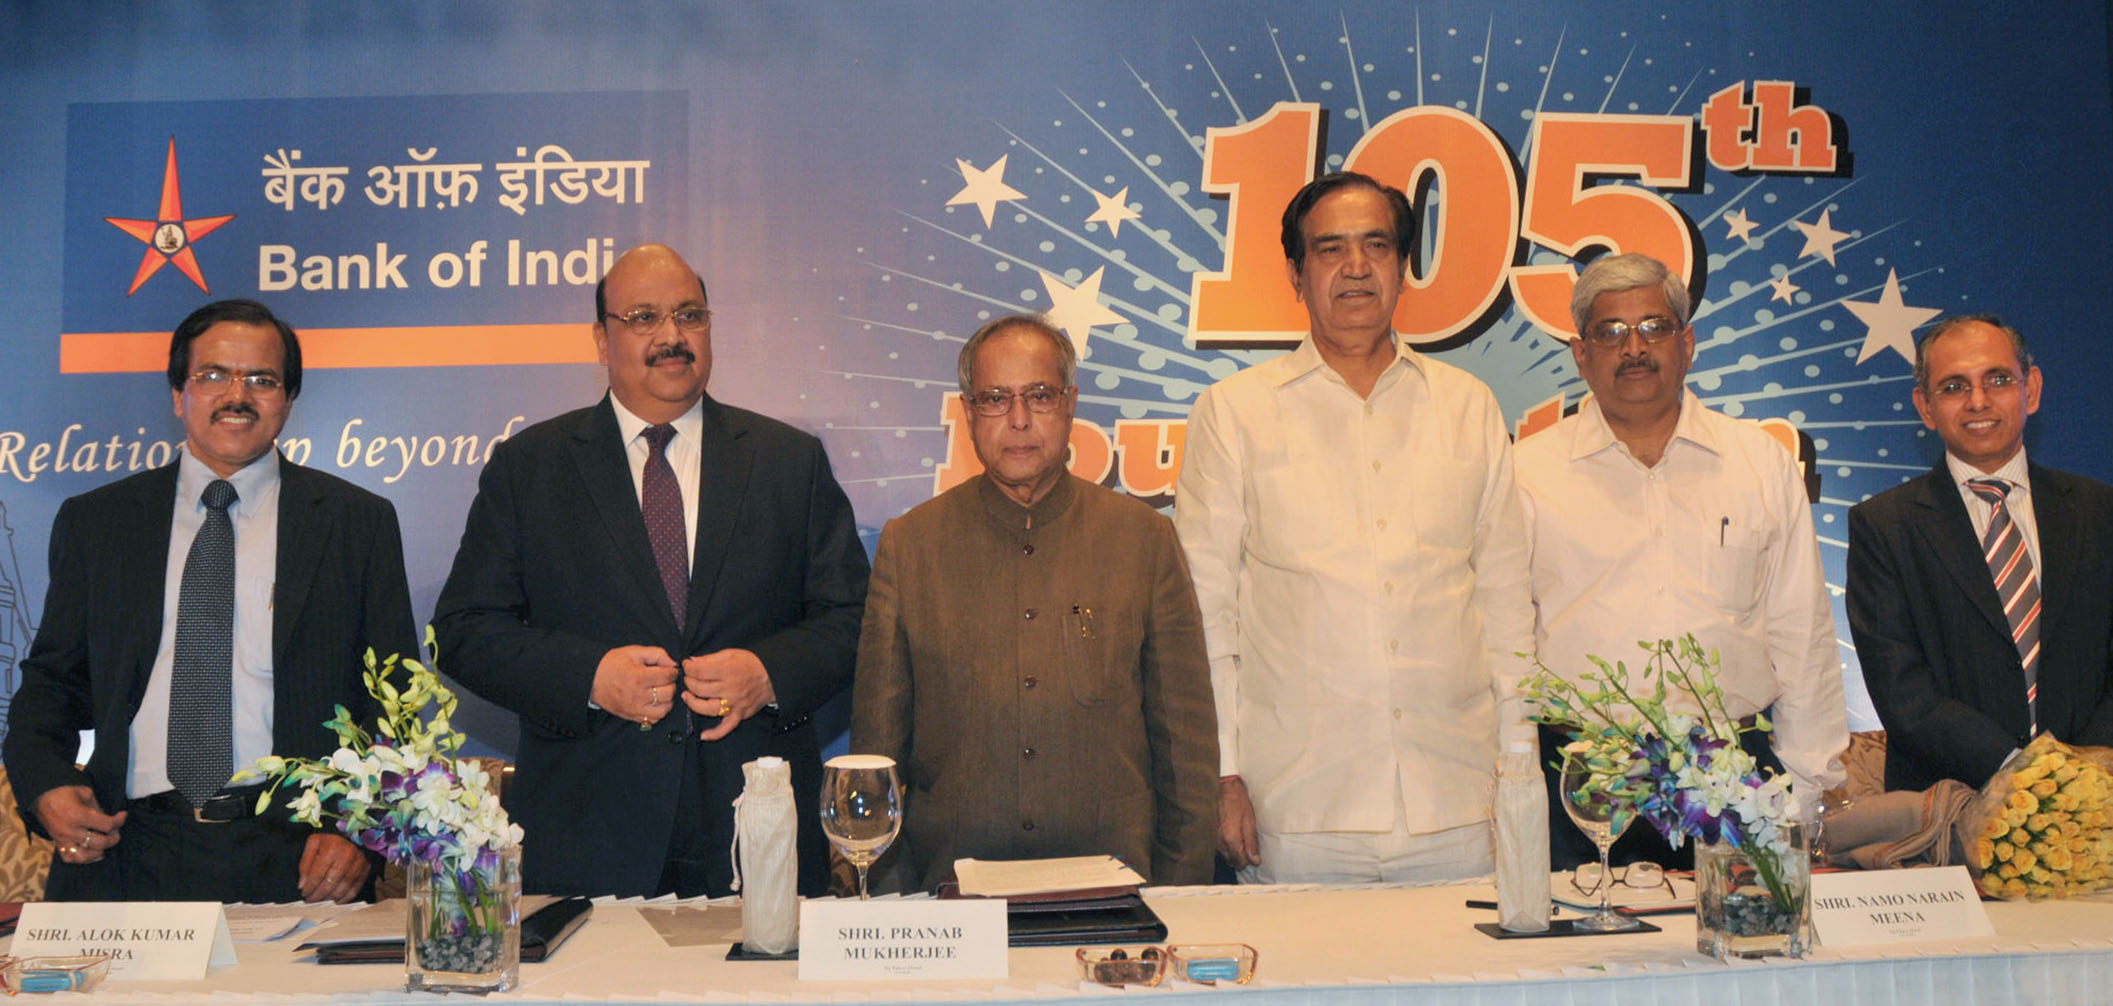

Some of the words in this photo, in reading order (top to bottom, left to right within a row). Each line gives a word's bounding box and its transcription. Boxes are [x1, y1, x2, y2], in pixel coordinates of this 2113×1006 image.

[251, 141, 352, 215] बैंक
[360, 142, 486, 215] ऑफ़
[491, 137, 653, 221] इंडिया
[1177, 78, 1846, 352] 105th
[257, 237, 413, 293] Bank
[420, 230, 495, 295] of
[503, 231, 613, 294] Indi
[0, 415, 195, 487] Relatio
[336, 411, 530, 488] beyon
[1807, 890, 1859, 915] SHRI.
[1851, 883, 1968, 913] NAMONARAIN
[22, 923, 75, 947] SHRI.
[73, 920, 129, 946] ALOK
[126, 923, 200, 945] KUMAR
[834, 921, 887, 945] SHRI.
[886, 919, 965, 947] PRANAB
[1865, 904, 1929, 933] MEENA
[76, 941, 136, 963] MISRA
[839, 939, 960, 963] MUKHERJEE